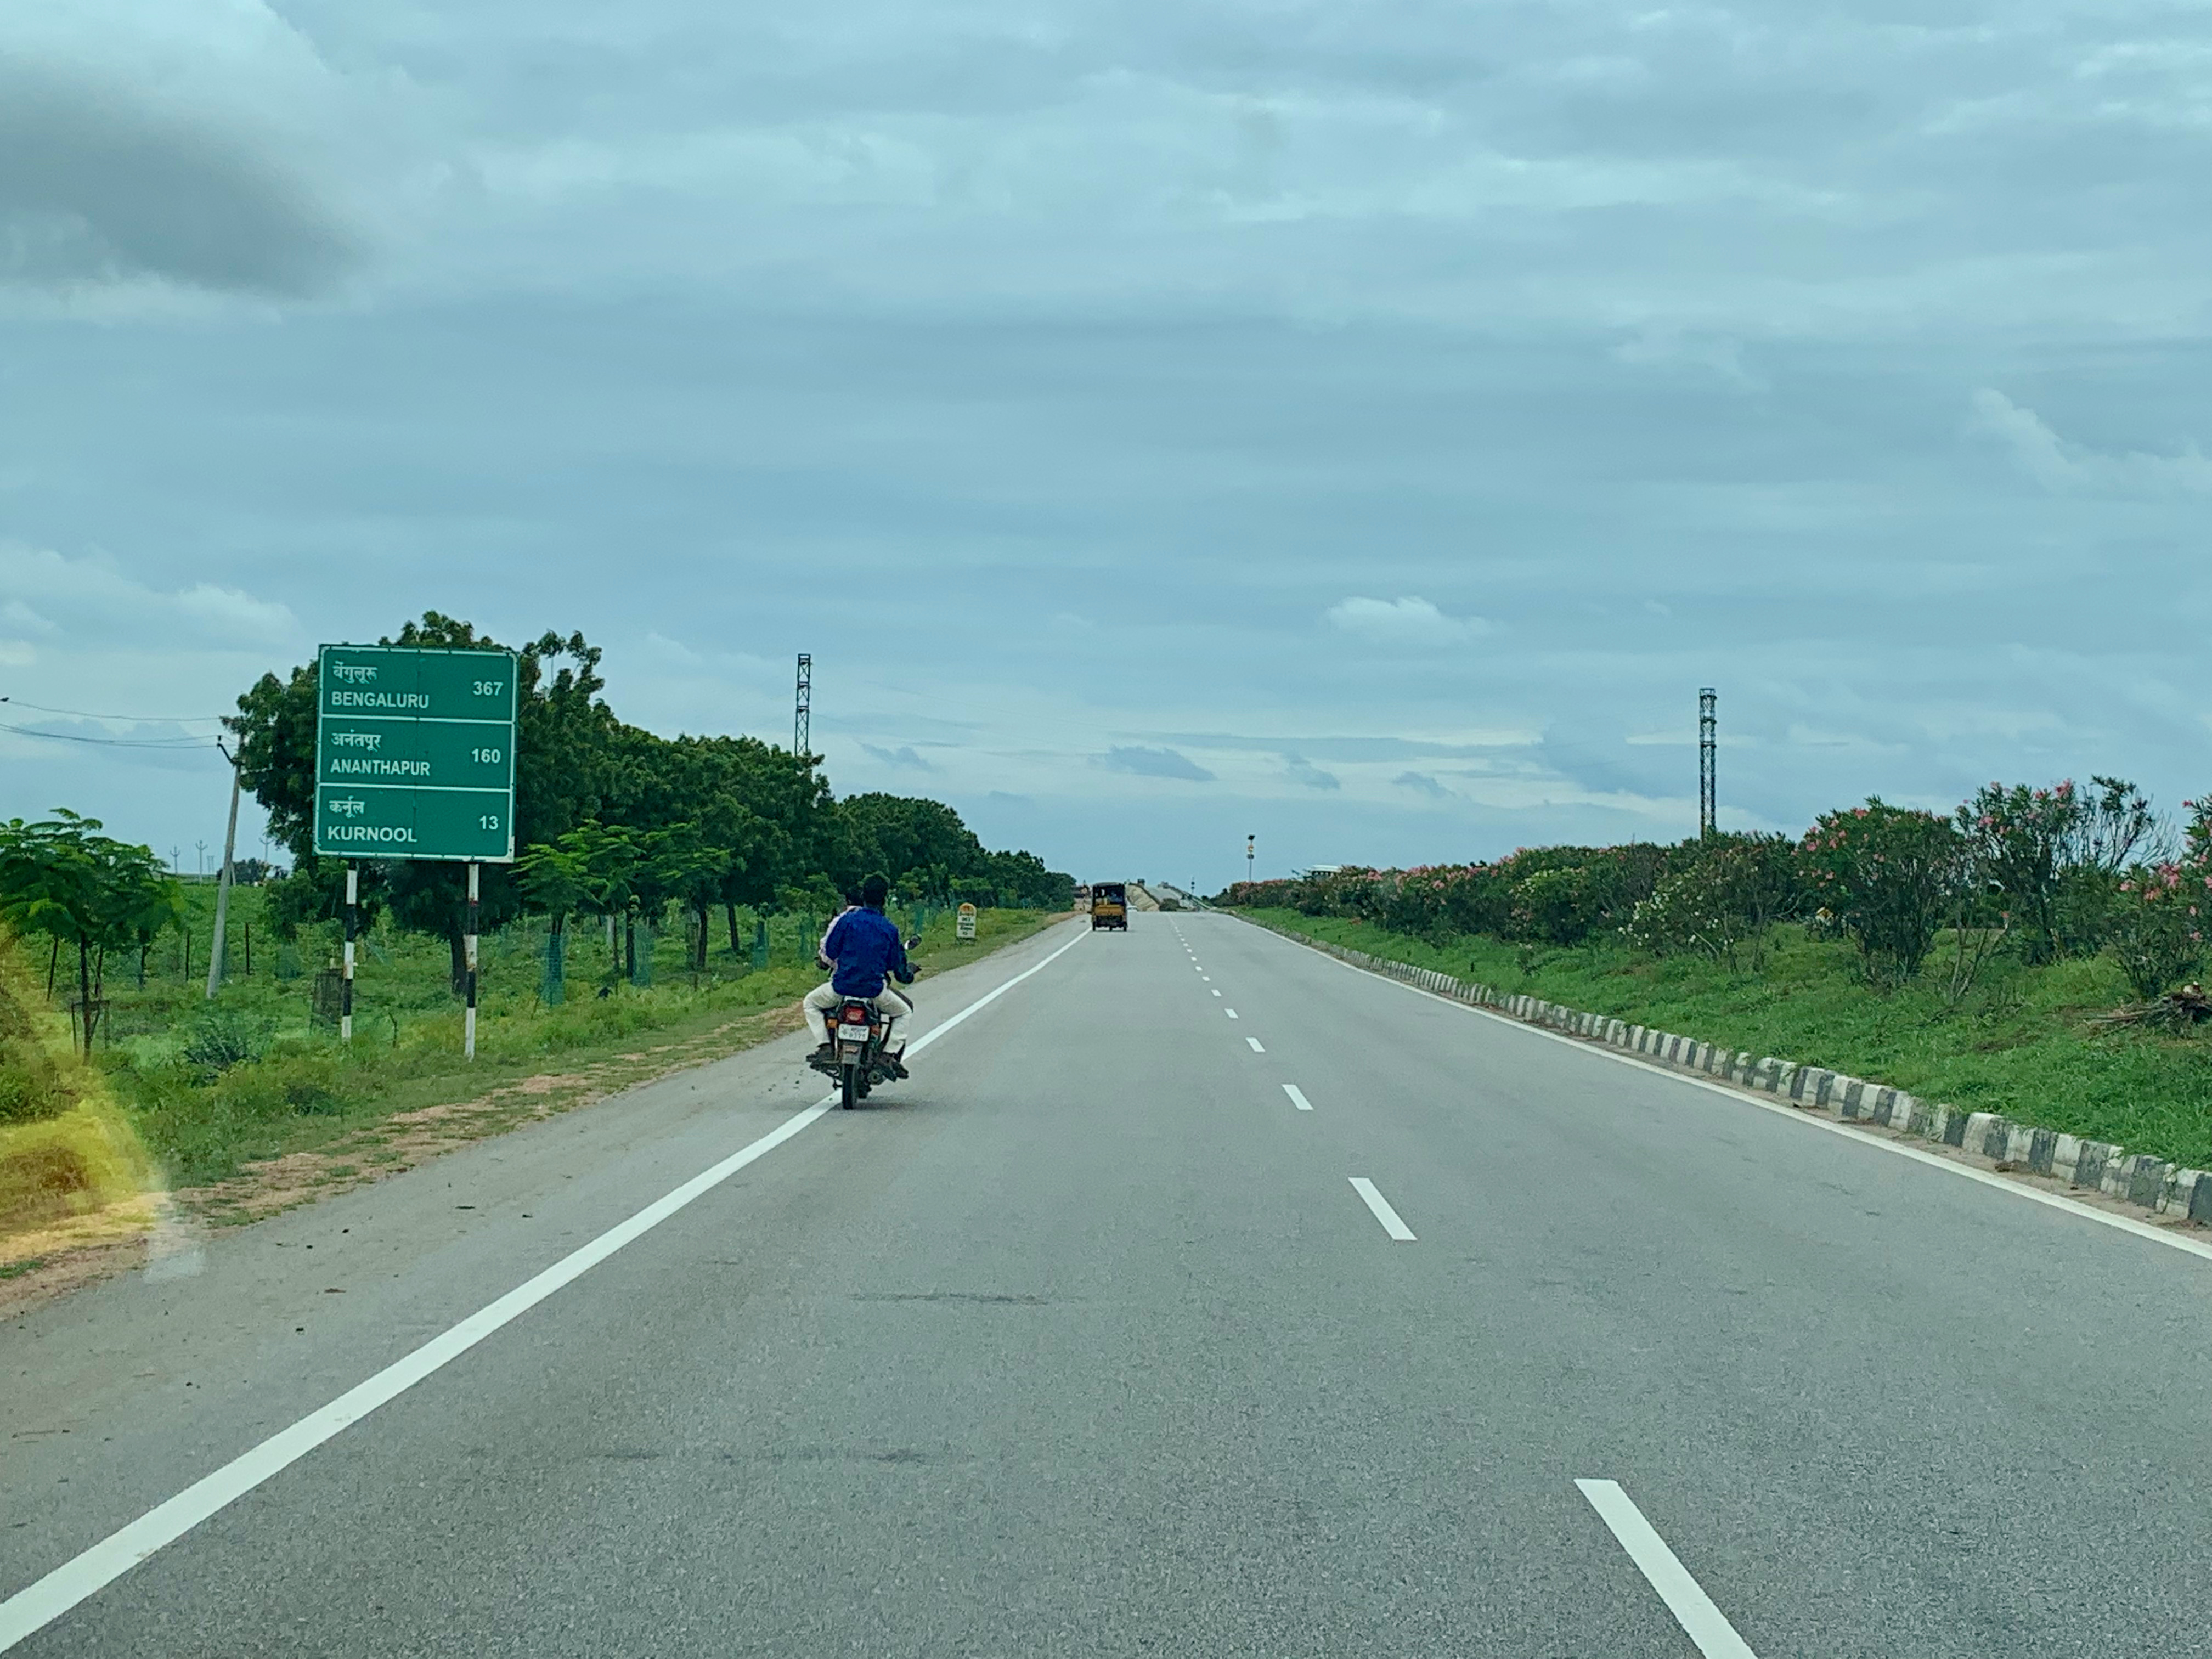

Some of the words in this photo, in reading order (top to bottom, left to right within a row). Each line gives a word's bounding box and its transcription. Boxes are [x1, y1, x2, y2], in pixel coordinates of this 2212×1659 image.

[329, 655, 379, 689] बेंगुलूरू
[330, 689, 432, 712] BENGALURU
[330, 725, 383, 755] अनंतपूर
[328, 754, 433, 778] ANANTHAPUR
[327, 792, 369, 821] कर्नूल
[324, 823, 421, 844] KURNOOL